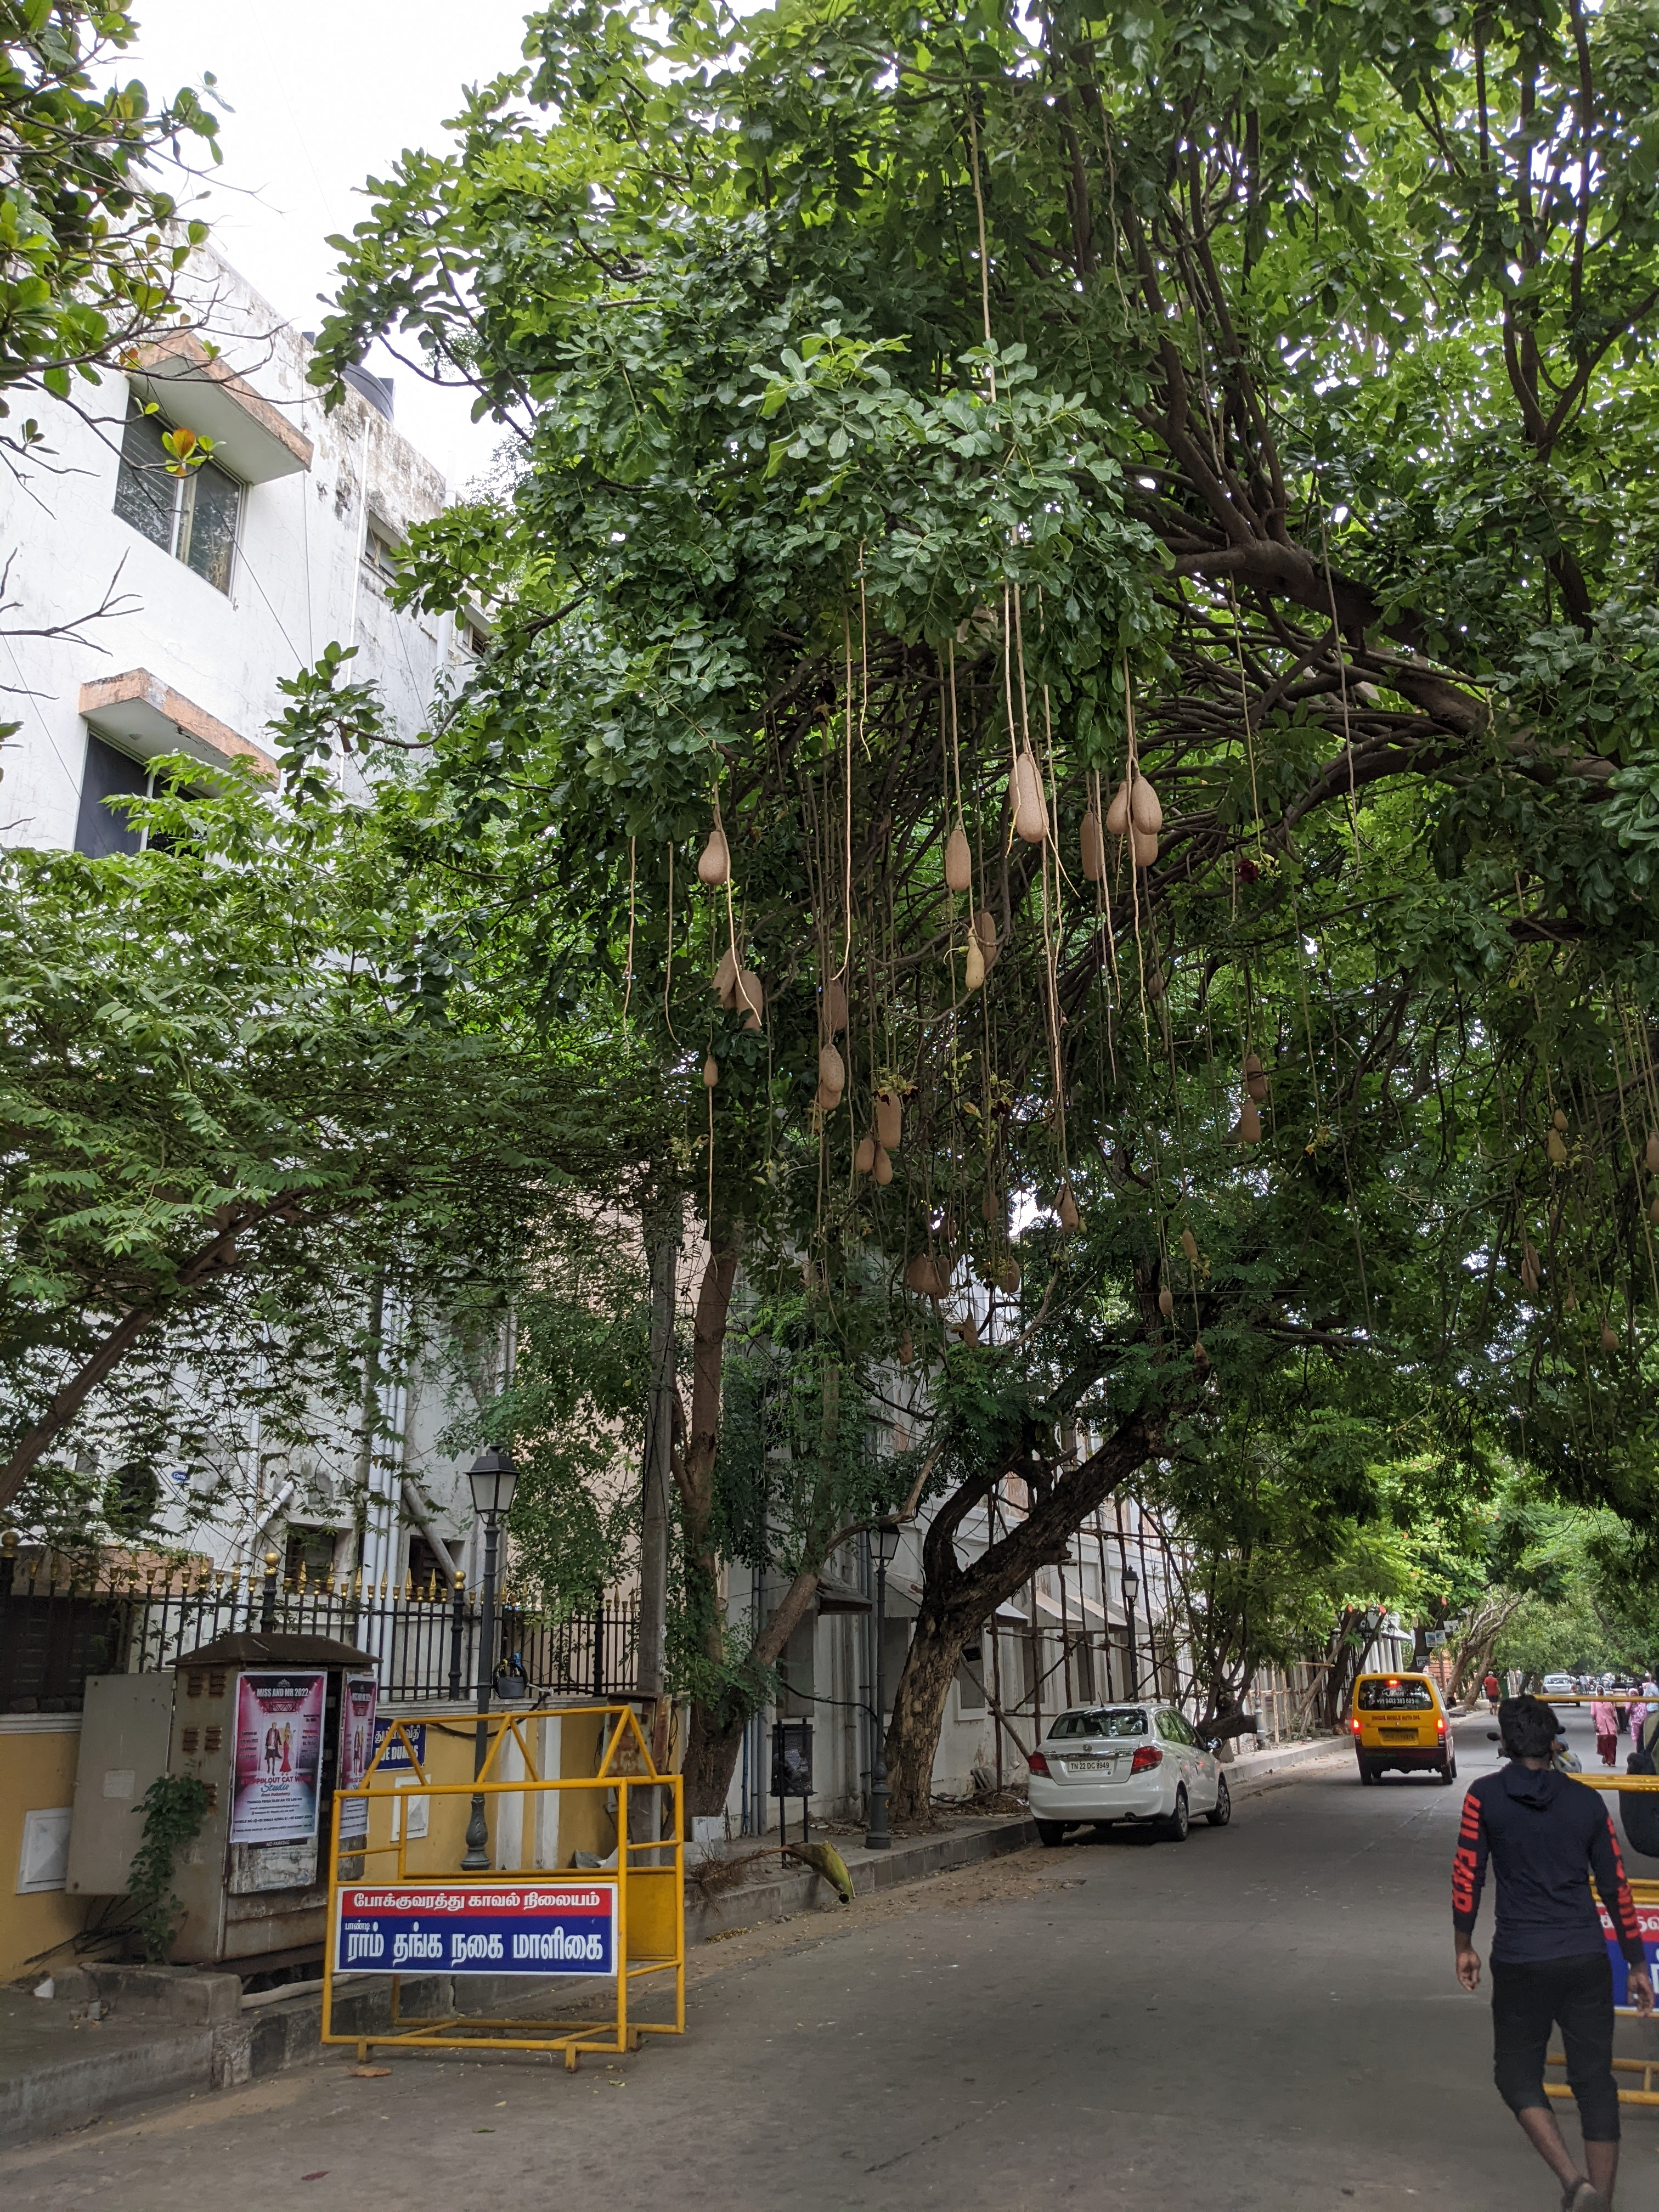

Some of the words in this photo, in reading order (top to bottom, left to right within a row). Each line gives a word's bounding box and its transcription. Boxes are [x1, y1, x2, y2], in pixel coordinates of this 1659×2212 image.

[255, 1686, 274, 1700] MISS
[269, 1686, 287, 1700] AND
[284, 1686, 296, 1700] MR
[291, 1686, 311, 1699] 12022
[351, 1888, 468, 1914] போக்குவரத்து
[465, 1888, 523, 1910] காவல்
[522, 1887, 603, 1912] நிலையம்
[344, 1916, 373, 1934] பாண்டி
[346, 1918, 387, 1963] ராம்
[389, 1918, 444, 1968] தங்க
[448, 1931, 505, 1968] நகை
[511, 1923, 606, 1961] மாளிகை